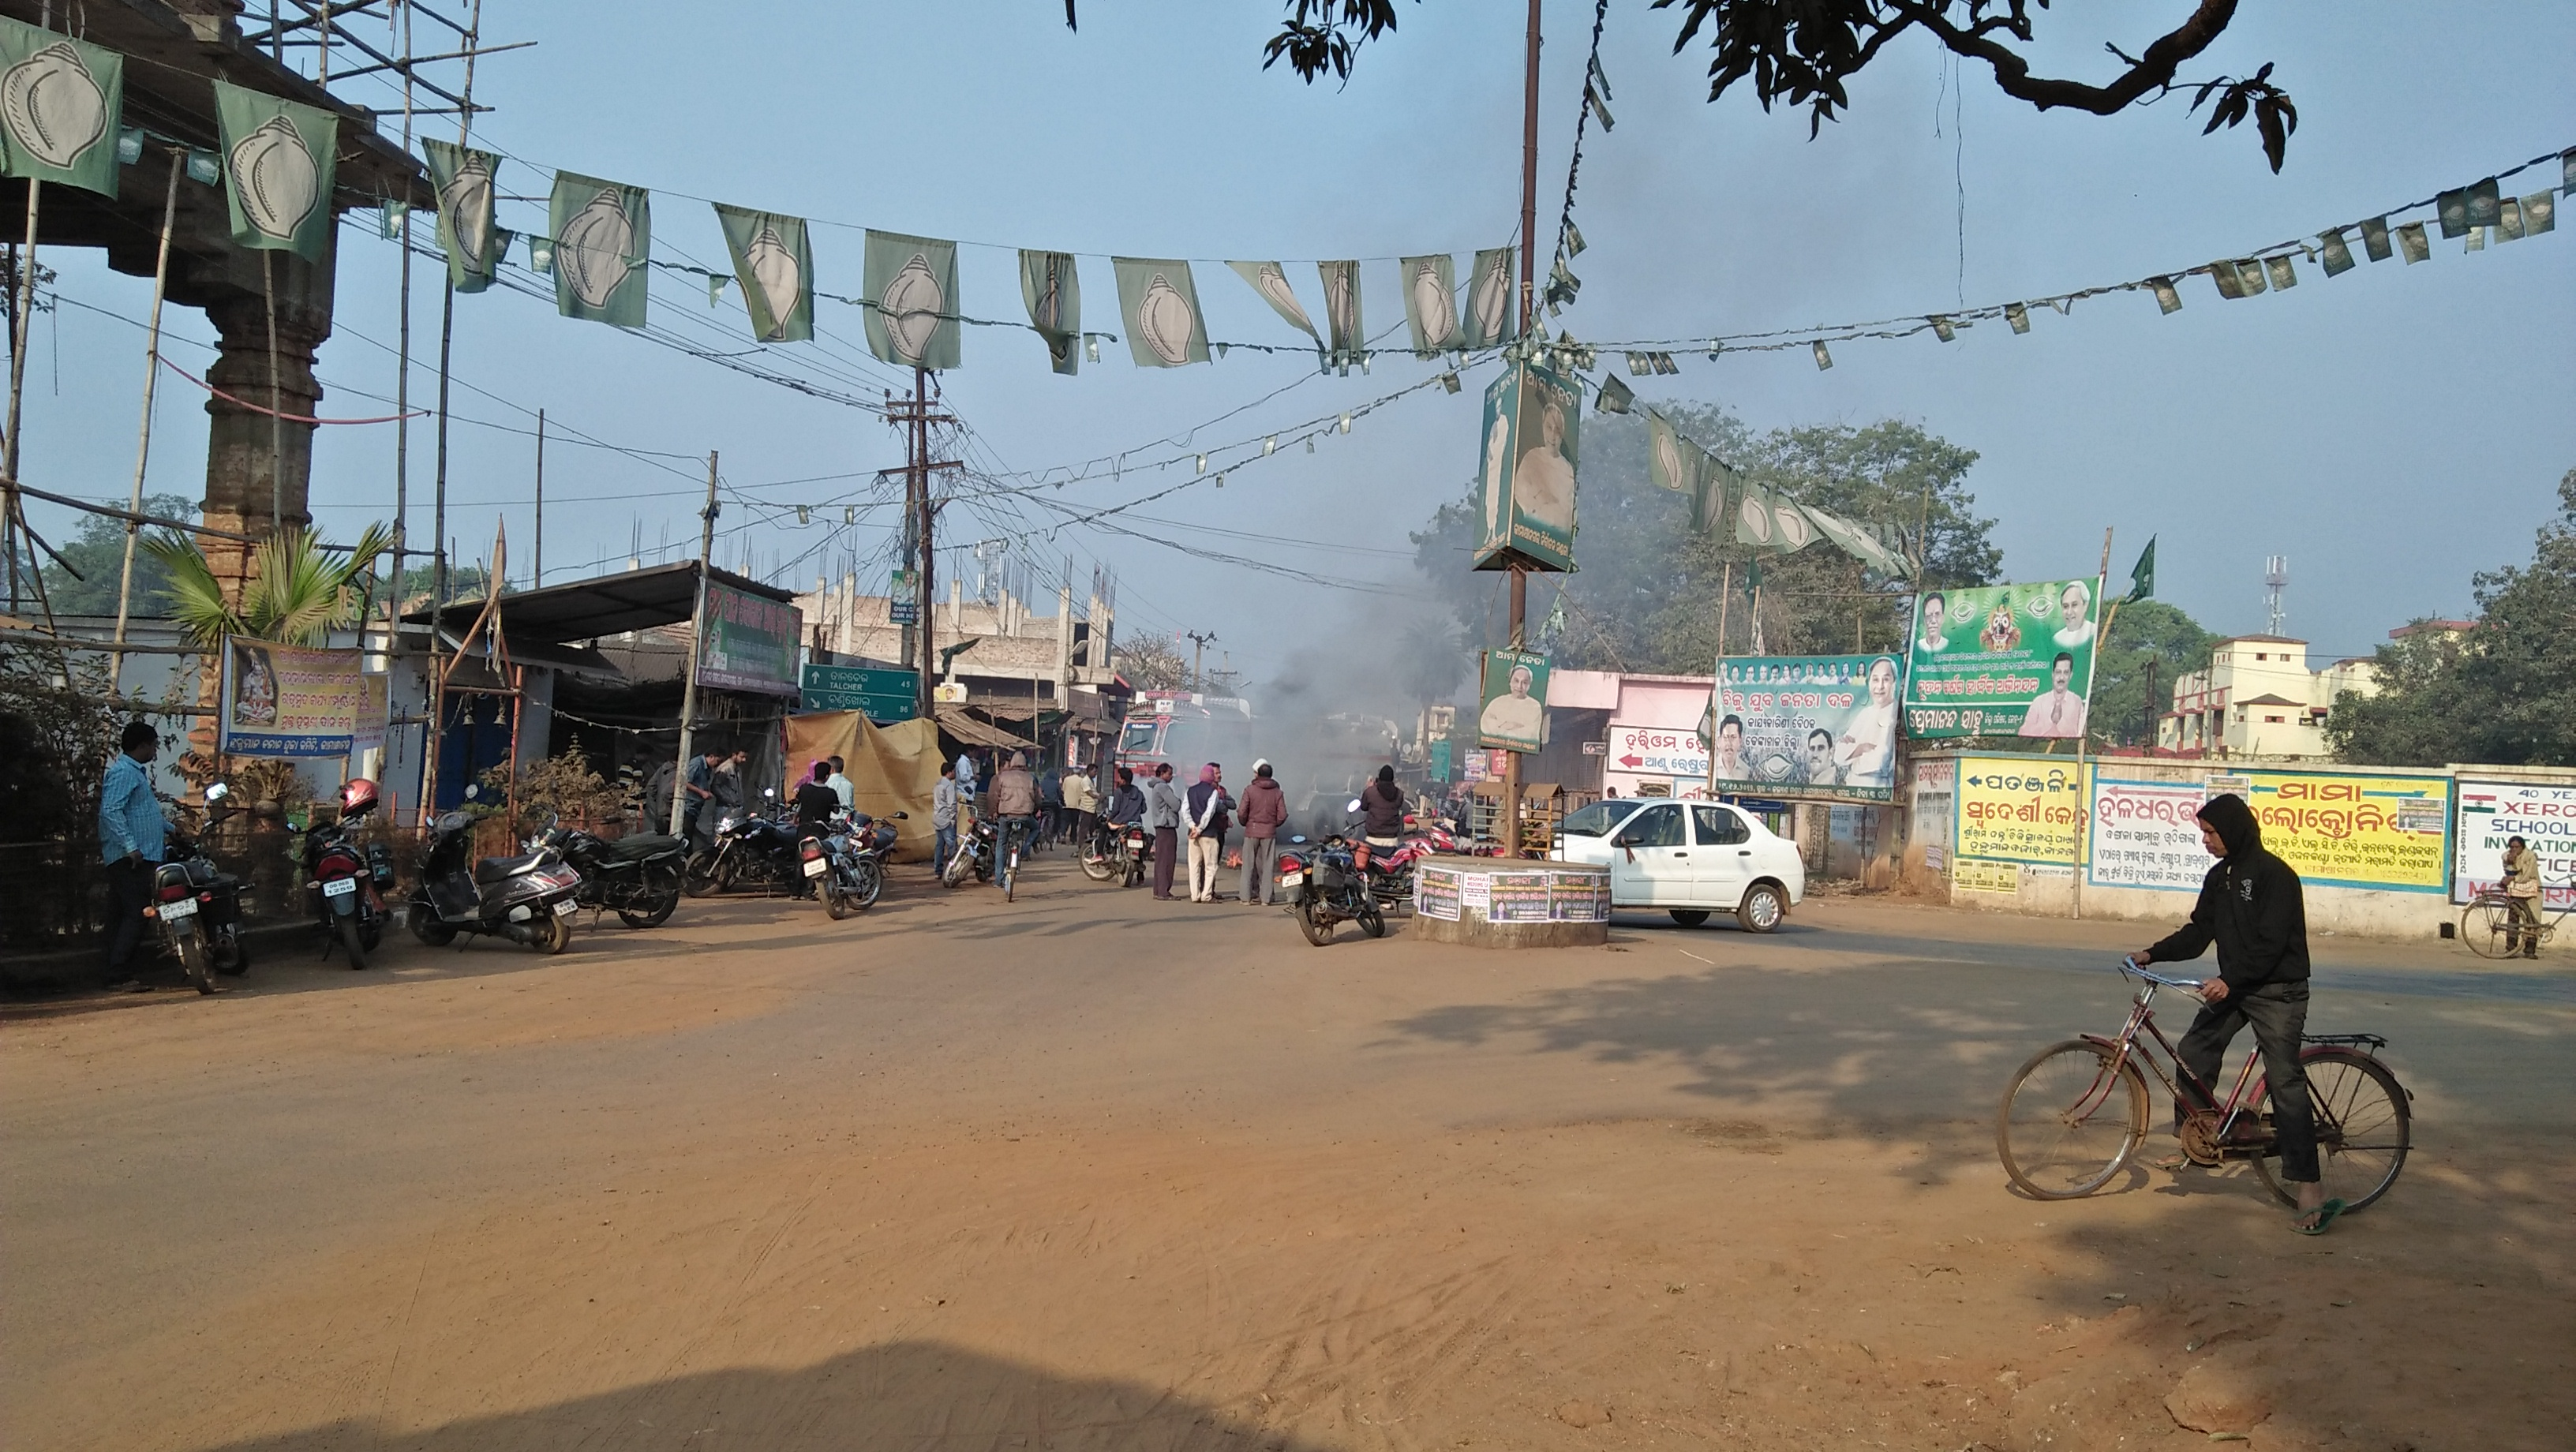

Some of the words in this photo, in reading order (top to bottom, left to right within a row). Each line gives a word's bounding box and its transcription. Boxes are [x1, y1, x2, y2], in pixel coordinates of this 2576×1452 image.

[1494, 647, 1550, 670] ଆମ କେତା
[825, 675, 867, 694] TALCHER
[825, 689, 874, 710] ଚଣ୍ଡିଖୋଲ
[829, 667, 872, 684] ତାଲଚେର୍
[1717, 683, 1749, 714] ବିଳୁ
[1747, 688, 1778, 716] ଯୁବ
[1775, 684, 1823, 709] ଜନତା
[1825, 687, 1857, 713] ଦଳ
[1743, 710, 1794, 731] କାର୍ଯ୍ୟକାରିଣୀ
[1784, 712, 1818, 733] ଚିେଠଳ
[1902, 702, 1961, 736] ପ୍ରେମାନନ୍ଦ
[1955, 703, 1986, 739] ସାହୁ
[283, 732, 323, 757] ପୂଜା କମିଟି,
[1623, 724, 1682, 757] ଦରି ଓମ୍
[1737, 730, 1783, 747] ଢେଙ୍କାନାଳ
[1641, 753, 1713, 776] ଆଣ୍ଠୁ ରେଷର
[1982, 763, 2069, 794] ପତଞ୍ଜଳି
[2273, 771, 2364, 806] ମାମା
[1967, 791, 2046, 829] ପ୍ଵଦେଣୀ
[2038, 800, 2091, 836] କେ
[2095, 796, 2206, 831] ହଳଧର ଭ
[2248, 800, 2419, 847] ଲୋକ୍ଟ୍ରୋନି
[1969, 840, 2045, 857] ଦଳୁ ମାନବଜାତ୍,
[2100, 826, 2164, 850] ବଙ୍ଗଳାସାମ୍ନାକୁ
[2177, 850, 2216, 872] ଶ୍ରାବ୍‌ୟୁର
[2260, 833, 2302, 851] ଏଲ୍.ସି.ଡି
[2335, 835, 2362, 855] ଟିଭି